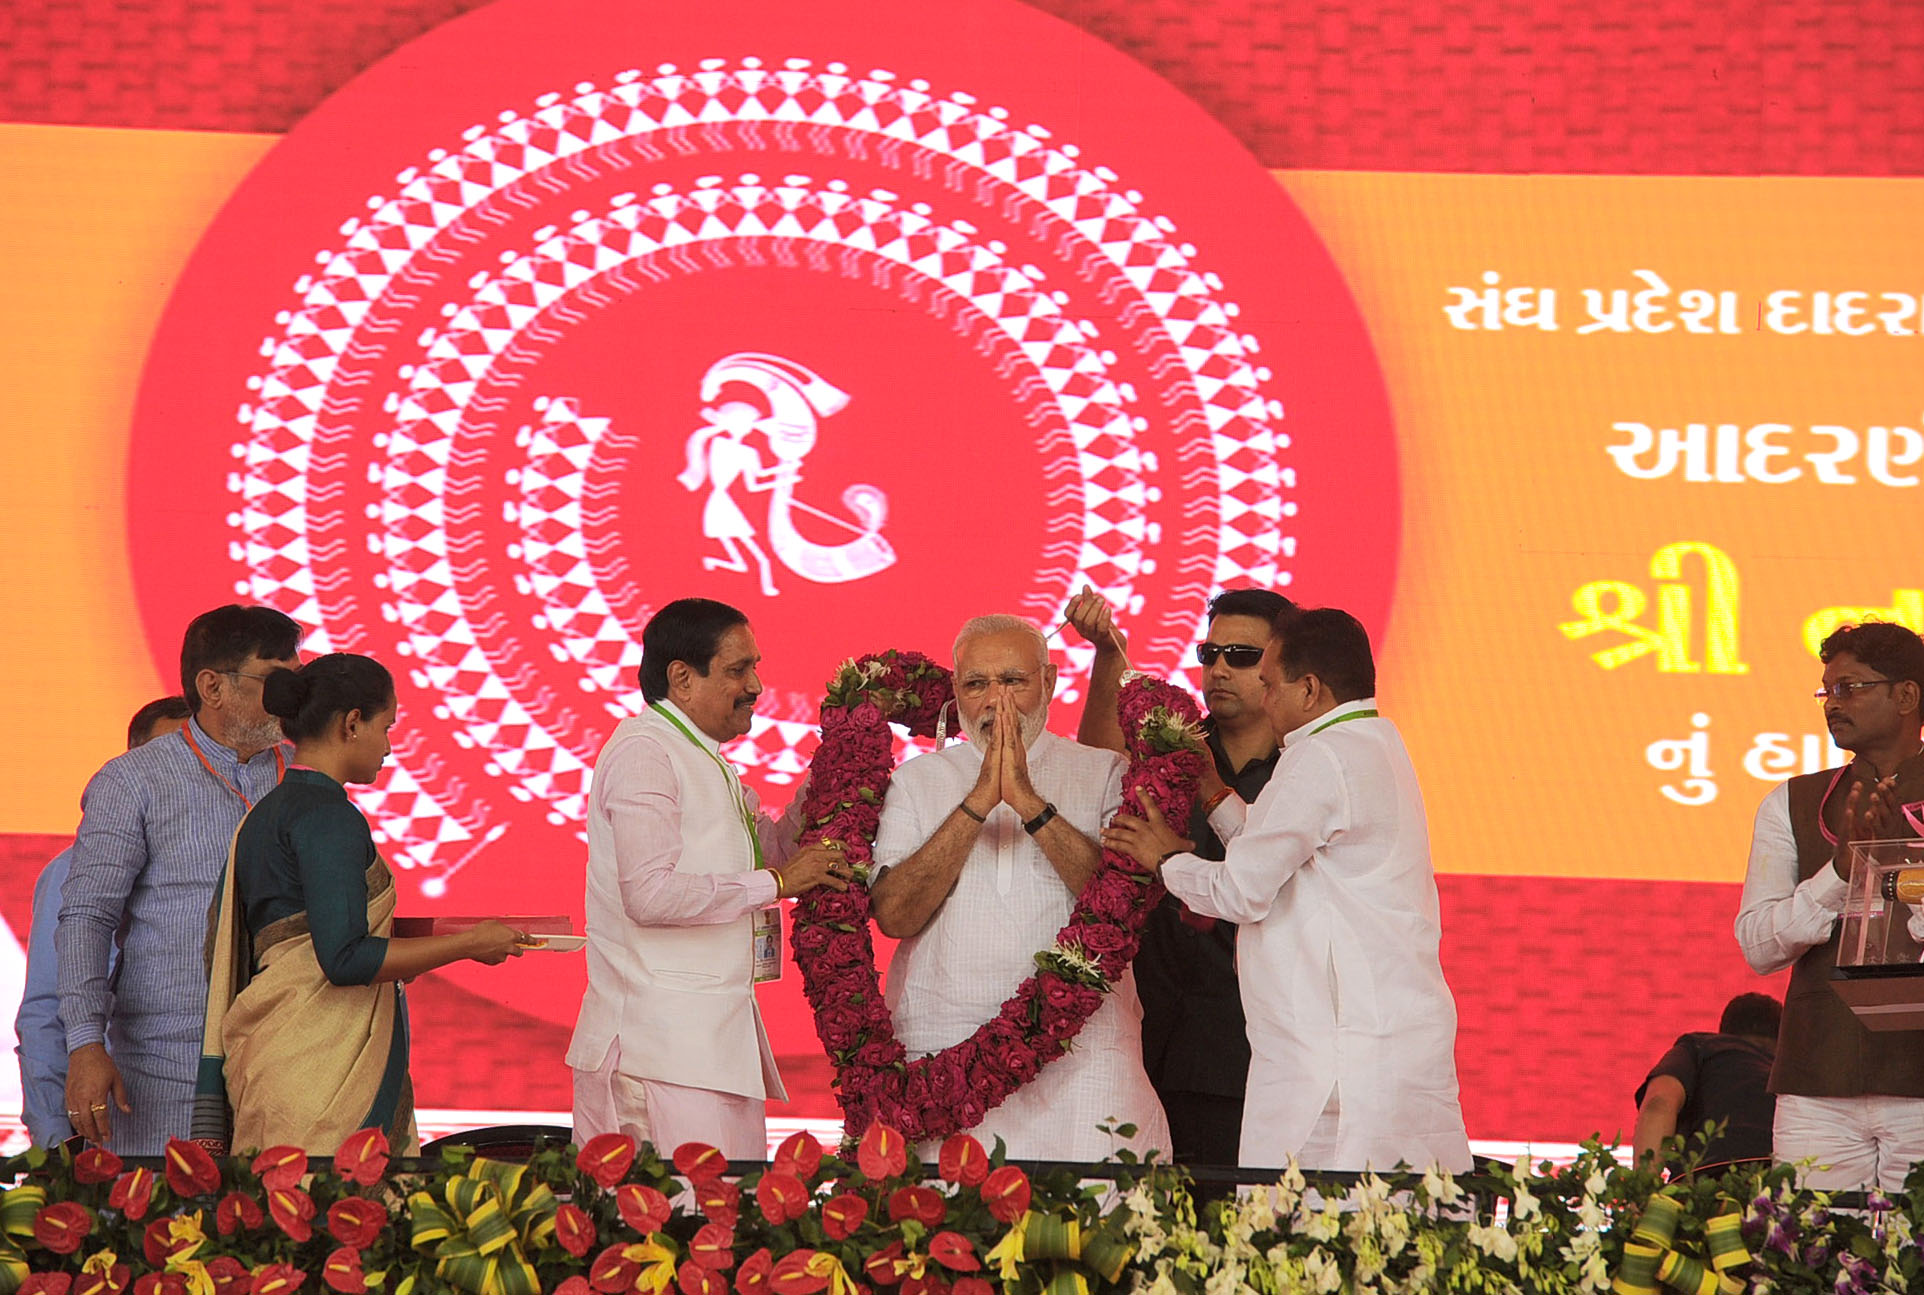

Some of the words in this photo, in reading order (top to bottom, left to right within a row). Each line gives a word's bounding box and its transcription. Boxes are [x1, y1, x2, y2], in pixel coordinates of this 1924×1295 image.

[1434, 271, 1560, 341] સંઘ
[1564, 252, 1760, 353] પ્રદેશ
[1759, 279, 1919, 346] દાદર
[1591, 411, 1922, 499] આદરણ
[1546, 521, 1766, 707] શ્રી
[1644, 706, 1732, 818] નું